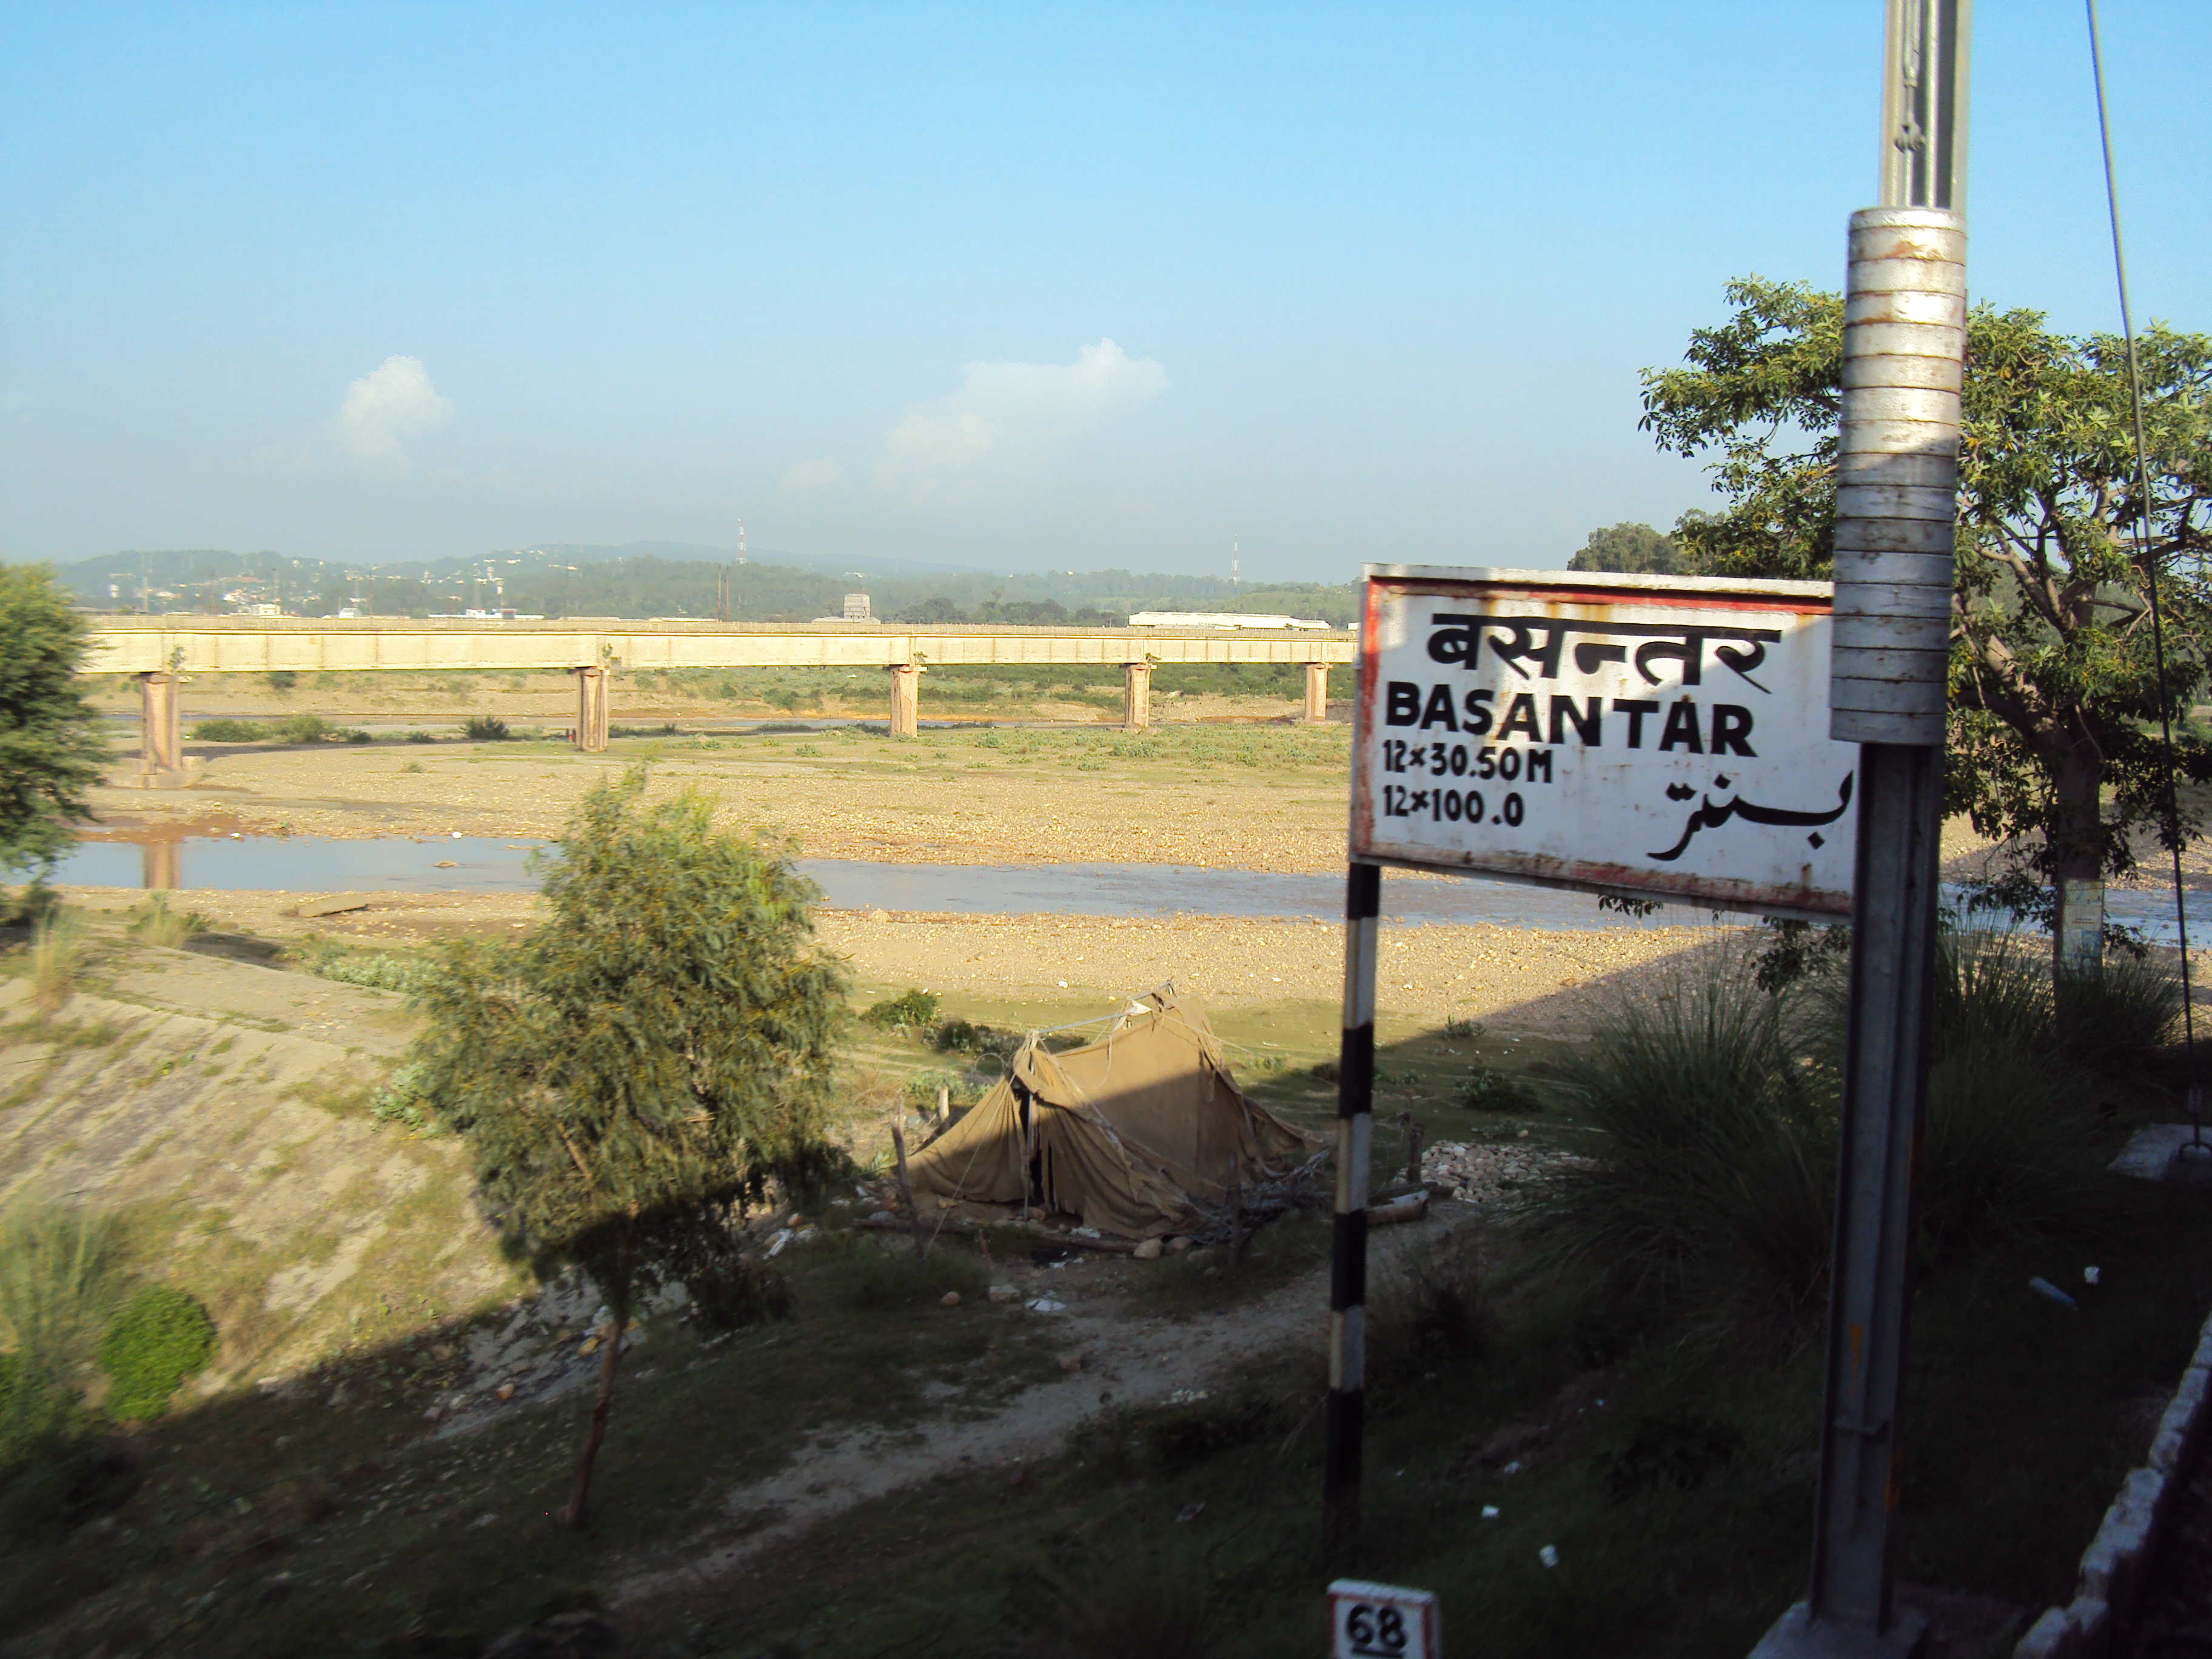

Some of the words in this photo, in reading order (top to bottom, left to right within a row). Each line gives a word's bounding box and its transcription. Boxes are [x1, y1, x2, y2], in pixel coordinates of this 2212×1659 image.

[1427, 612, 1783, 695] बसन्तर
[1384, 680, 1759, 760] BASANTAR
[1385, 739, 1554, 784] 12x30.50M
[1383, 783, 1529, 832] 12x100.0